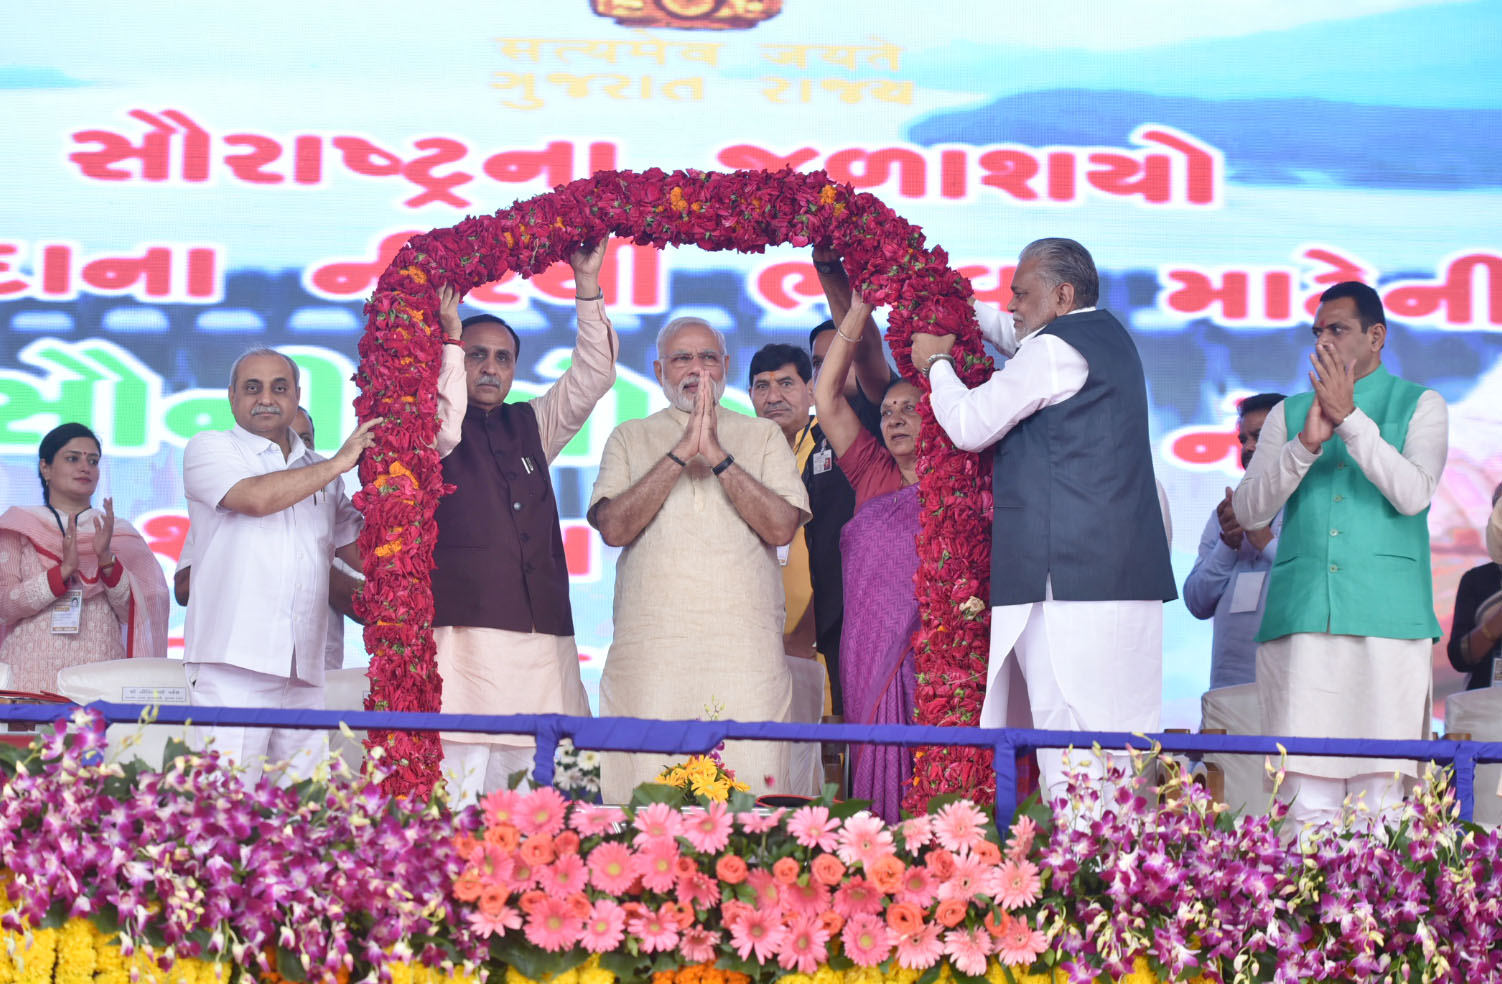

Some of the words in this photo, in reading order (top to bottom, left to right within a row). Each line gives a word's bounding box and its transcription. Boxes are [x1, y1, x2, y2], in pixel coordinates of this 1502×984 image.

[482, 24, 735, 72] सत्‍यमेव
[750, 26, 913, 76] जयते
[482, 67, 718, 118] ગુજરાત
[750, 72, 926, 109] રાજય
[52, 92, 632, 226] સૌરાષ્ટ્રના
[814, 108, 1250, 222] ળાશયો
[74, 234, 236, 310] ના
[1151, 252, 1300, 342] મા
[1378, 246, 1502, 350] ની